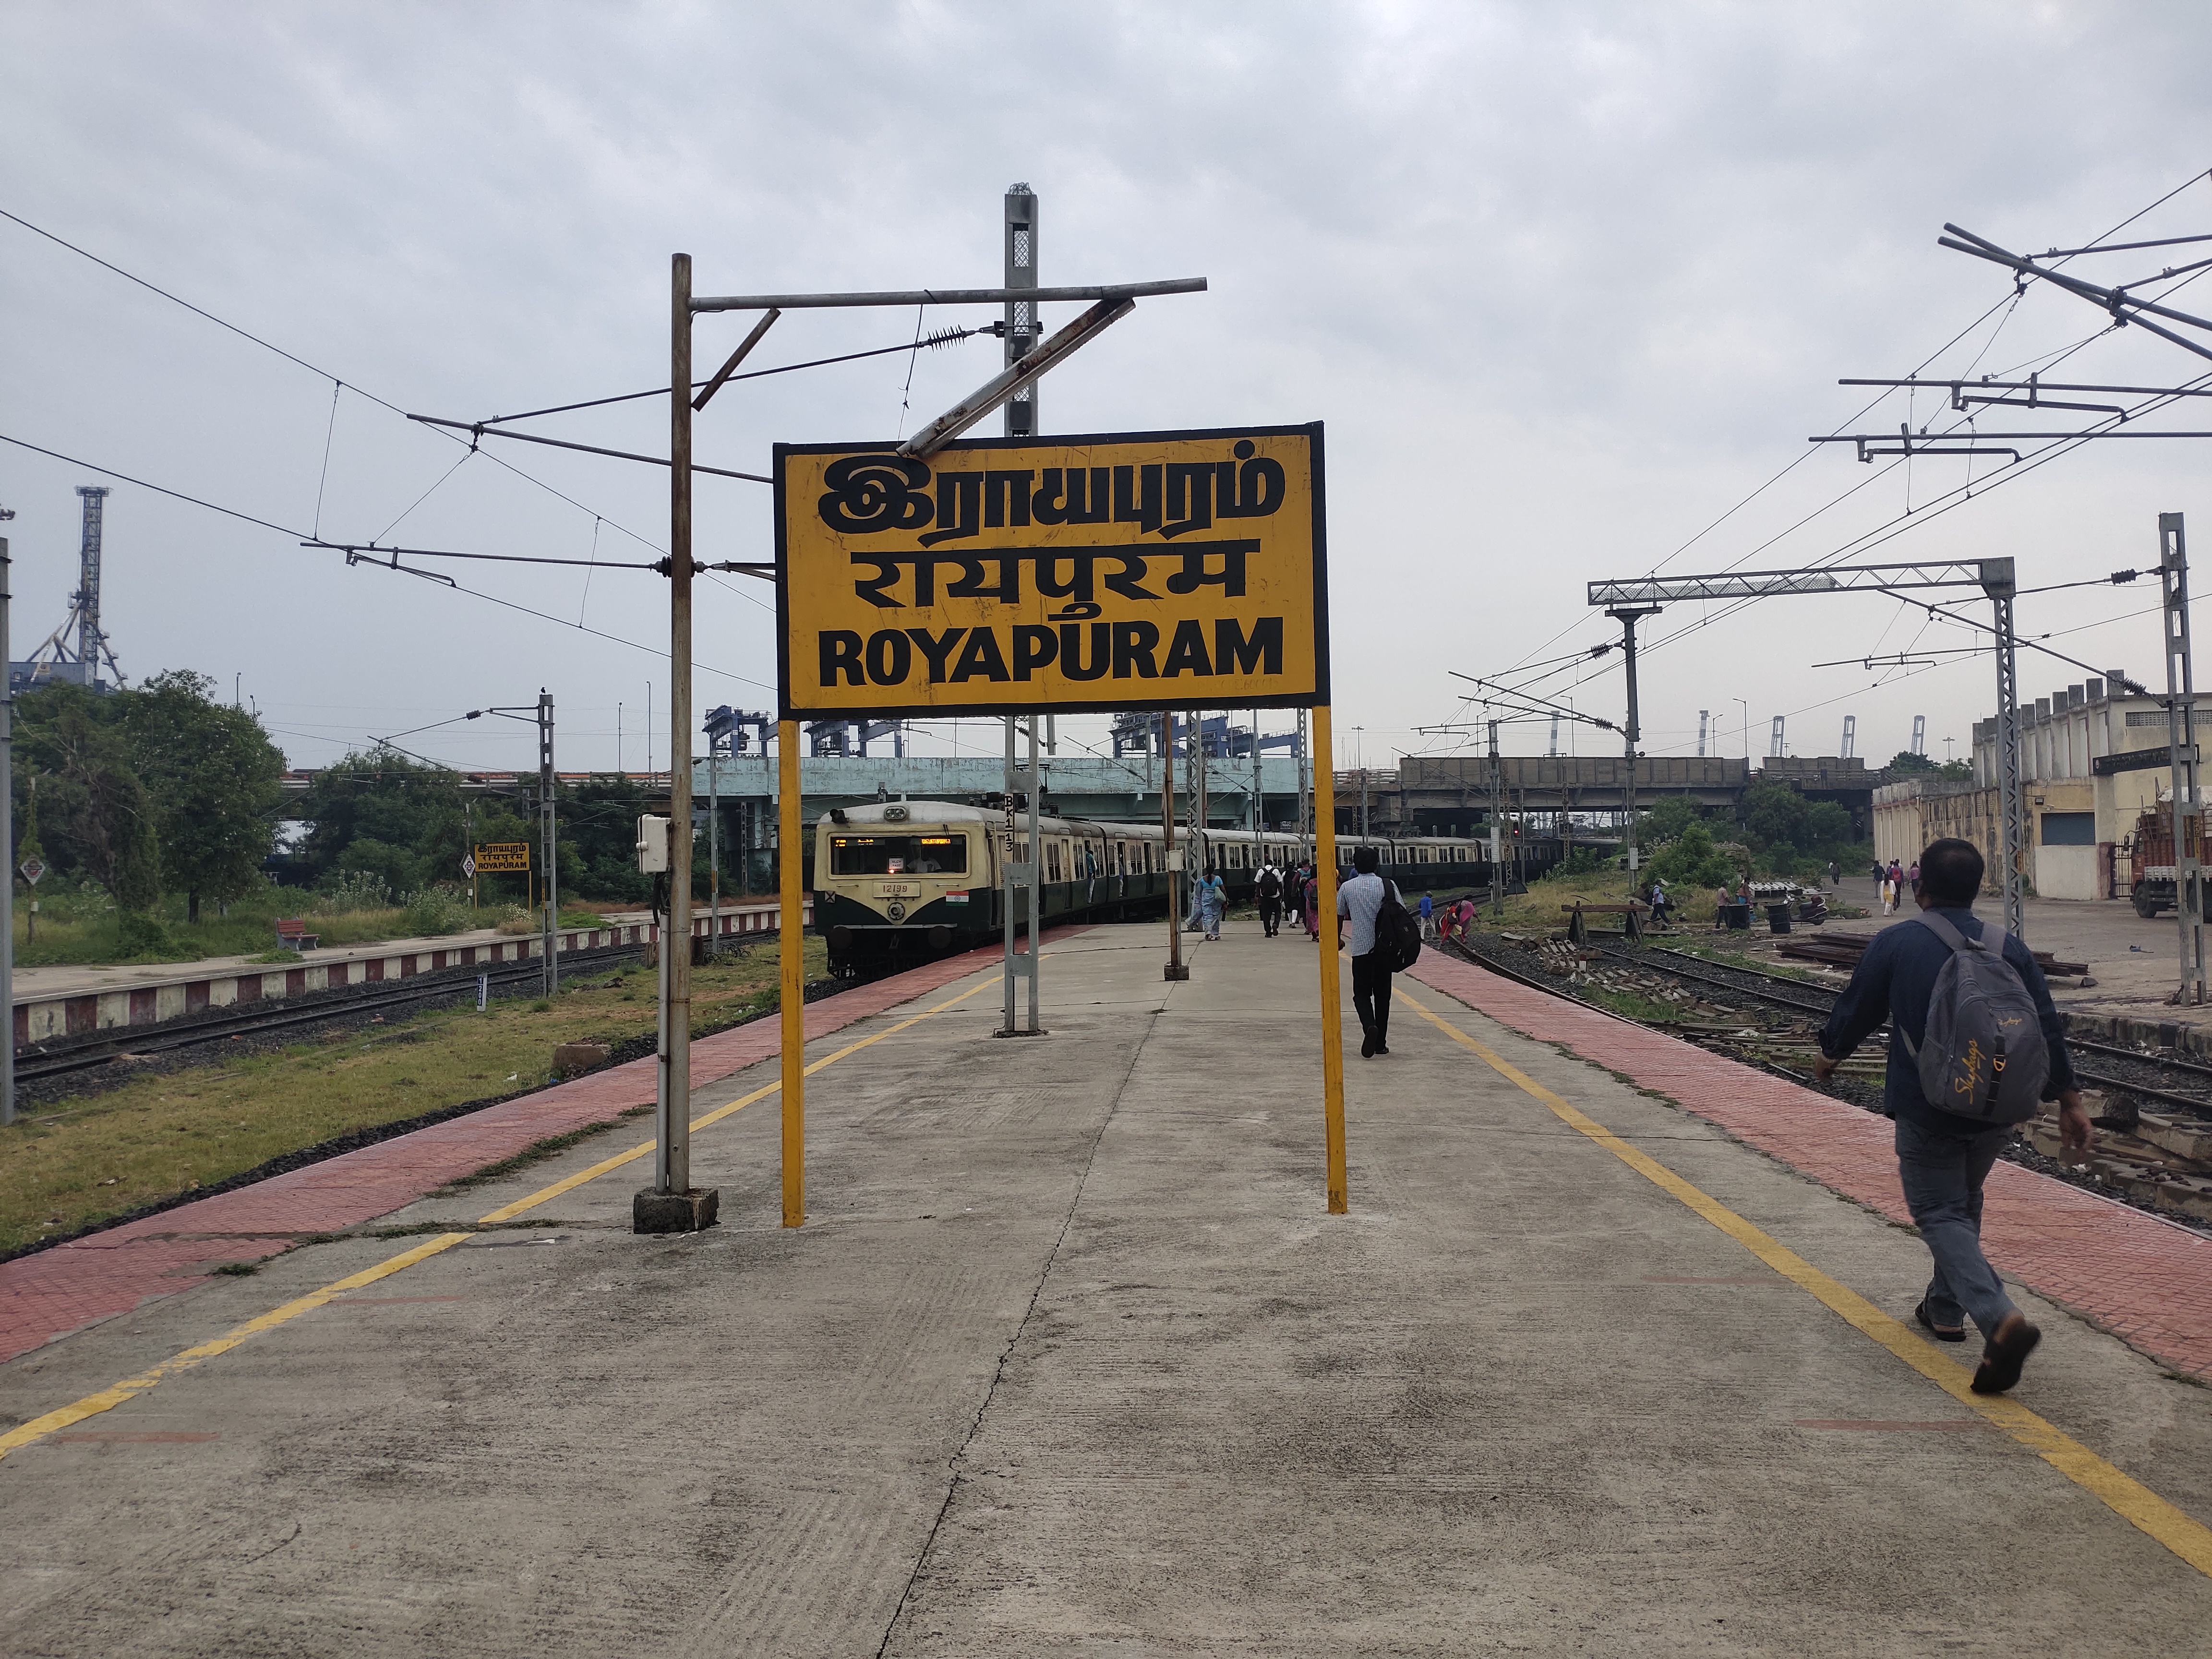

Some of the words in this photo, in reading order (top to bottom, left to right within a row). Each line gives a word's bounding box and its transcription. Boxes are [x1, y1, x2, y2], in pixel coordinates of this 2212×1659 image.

[810, 433, 1294, 550] இராயபுரம்
[844, 534, 1269, 625] रायपुरम
[816, 615, 1286, 692] ROYAPURAM
[480, 852, 524, 864] रायपुरम
[475, 840, 530, 856] இராயபுரம்
[477, 859, 529, 870] ROYAPURAM